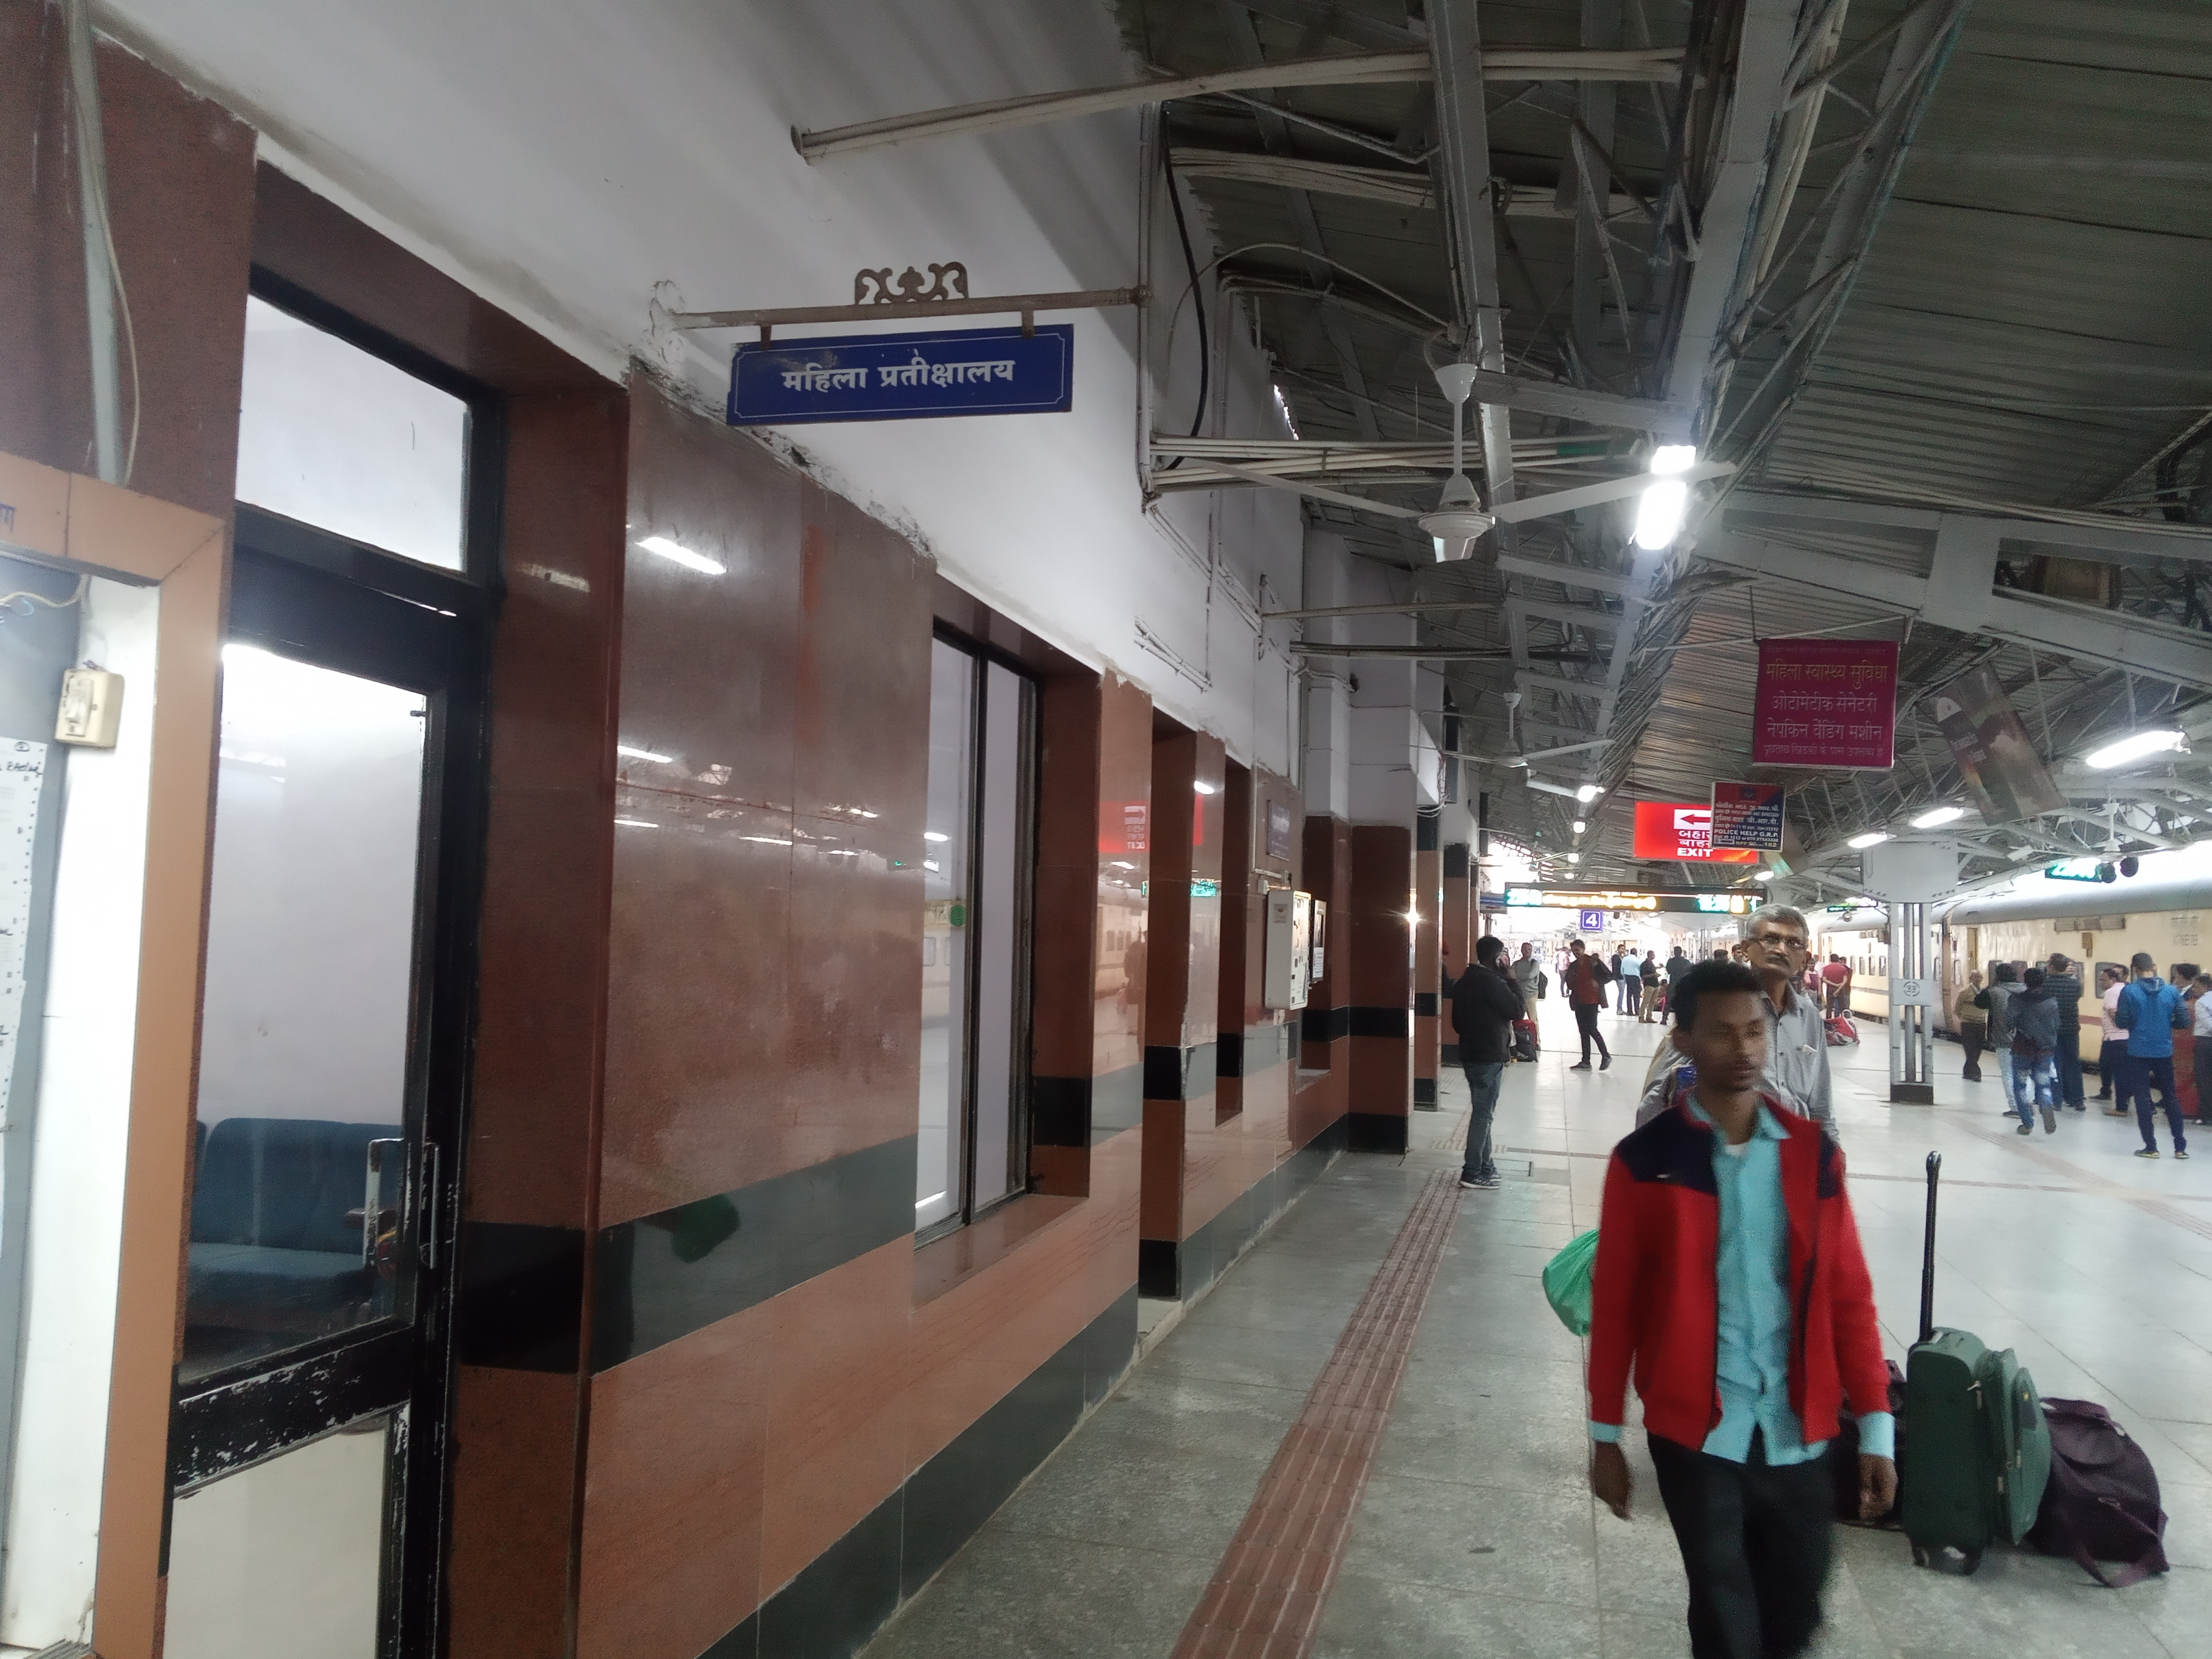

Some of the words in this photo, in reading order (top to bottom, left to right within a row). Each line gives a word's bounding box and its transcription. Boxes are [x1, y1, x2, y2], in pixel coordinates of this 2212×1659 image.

[776, 361, 869, 399] महिला
[876, 351, 1021, 395] प्रतीक्षालय
[1763, 656, 1804, 683] મહતા
[1804, 661, 1847, 683] स्वास्थ्य
[1848, 657, 1890, 691] सुविधा
[1770, 688, 1835, 714] ओटोमेटीक
[1834, 689, 1879, 716] सेनेटरी
[1764, 715, 1810, 743] नेपकिन
[1810, 718, 1846, 743] वेंडिंग
[1846, 718, 1883, 742] मशीन
[1674, 838, 1711, 848] बाहर
[1676, 829, 1711, 839] બહાર
[1673, 845, 1714, 860] EXIT
[1712, 828, 1781, 840] POLICEHELPG.R.P.
[1584, 912, 1599, 927] 4